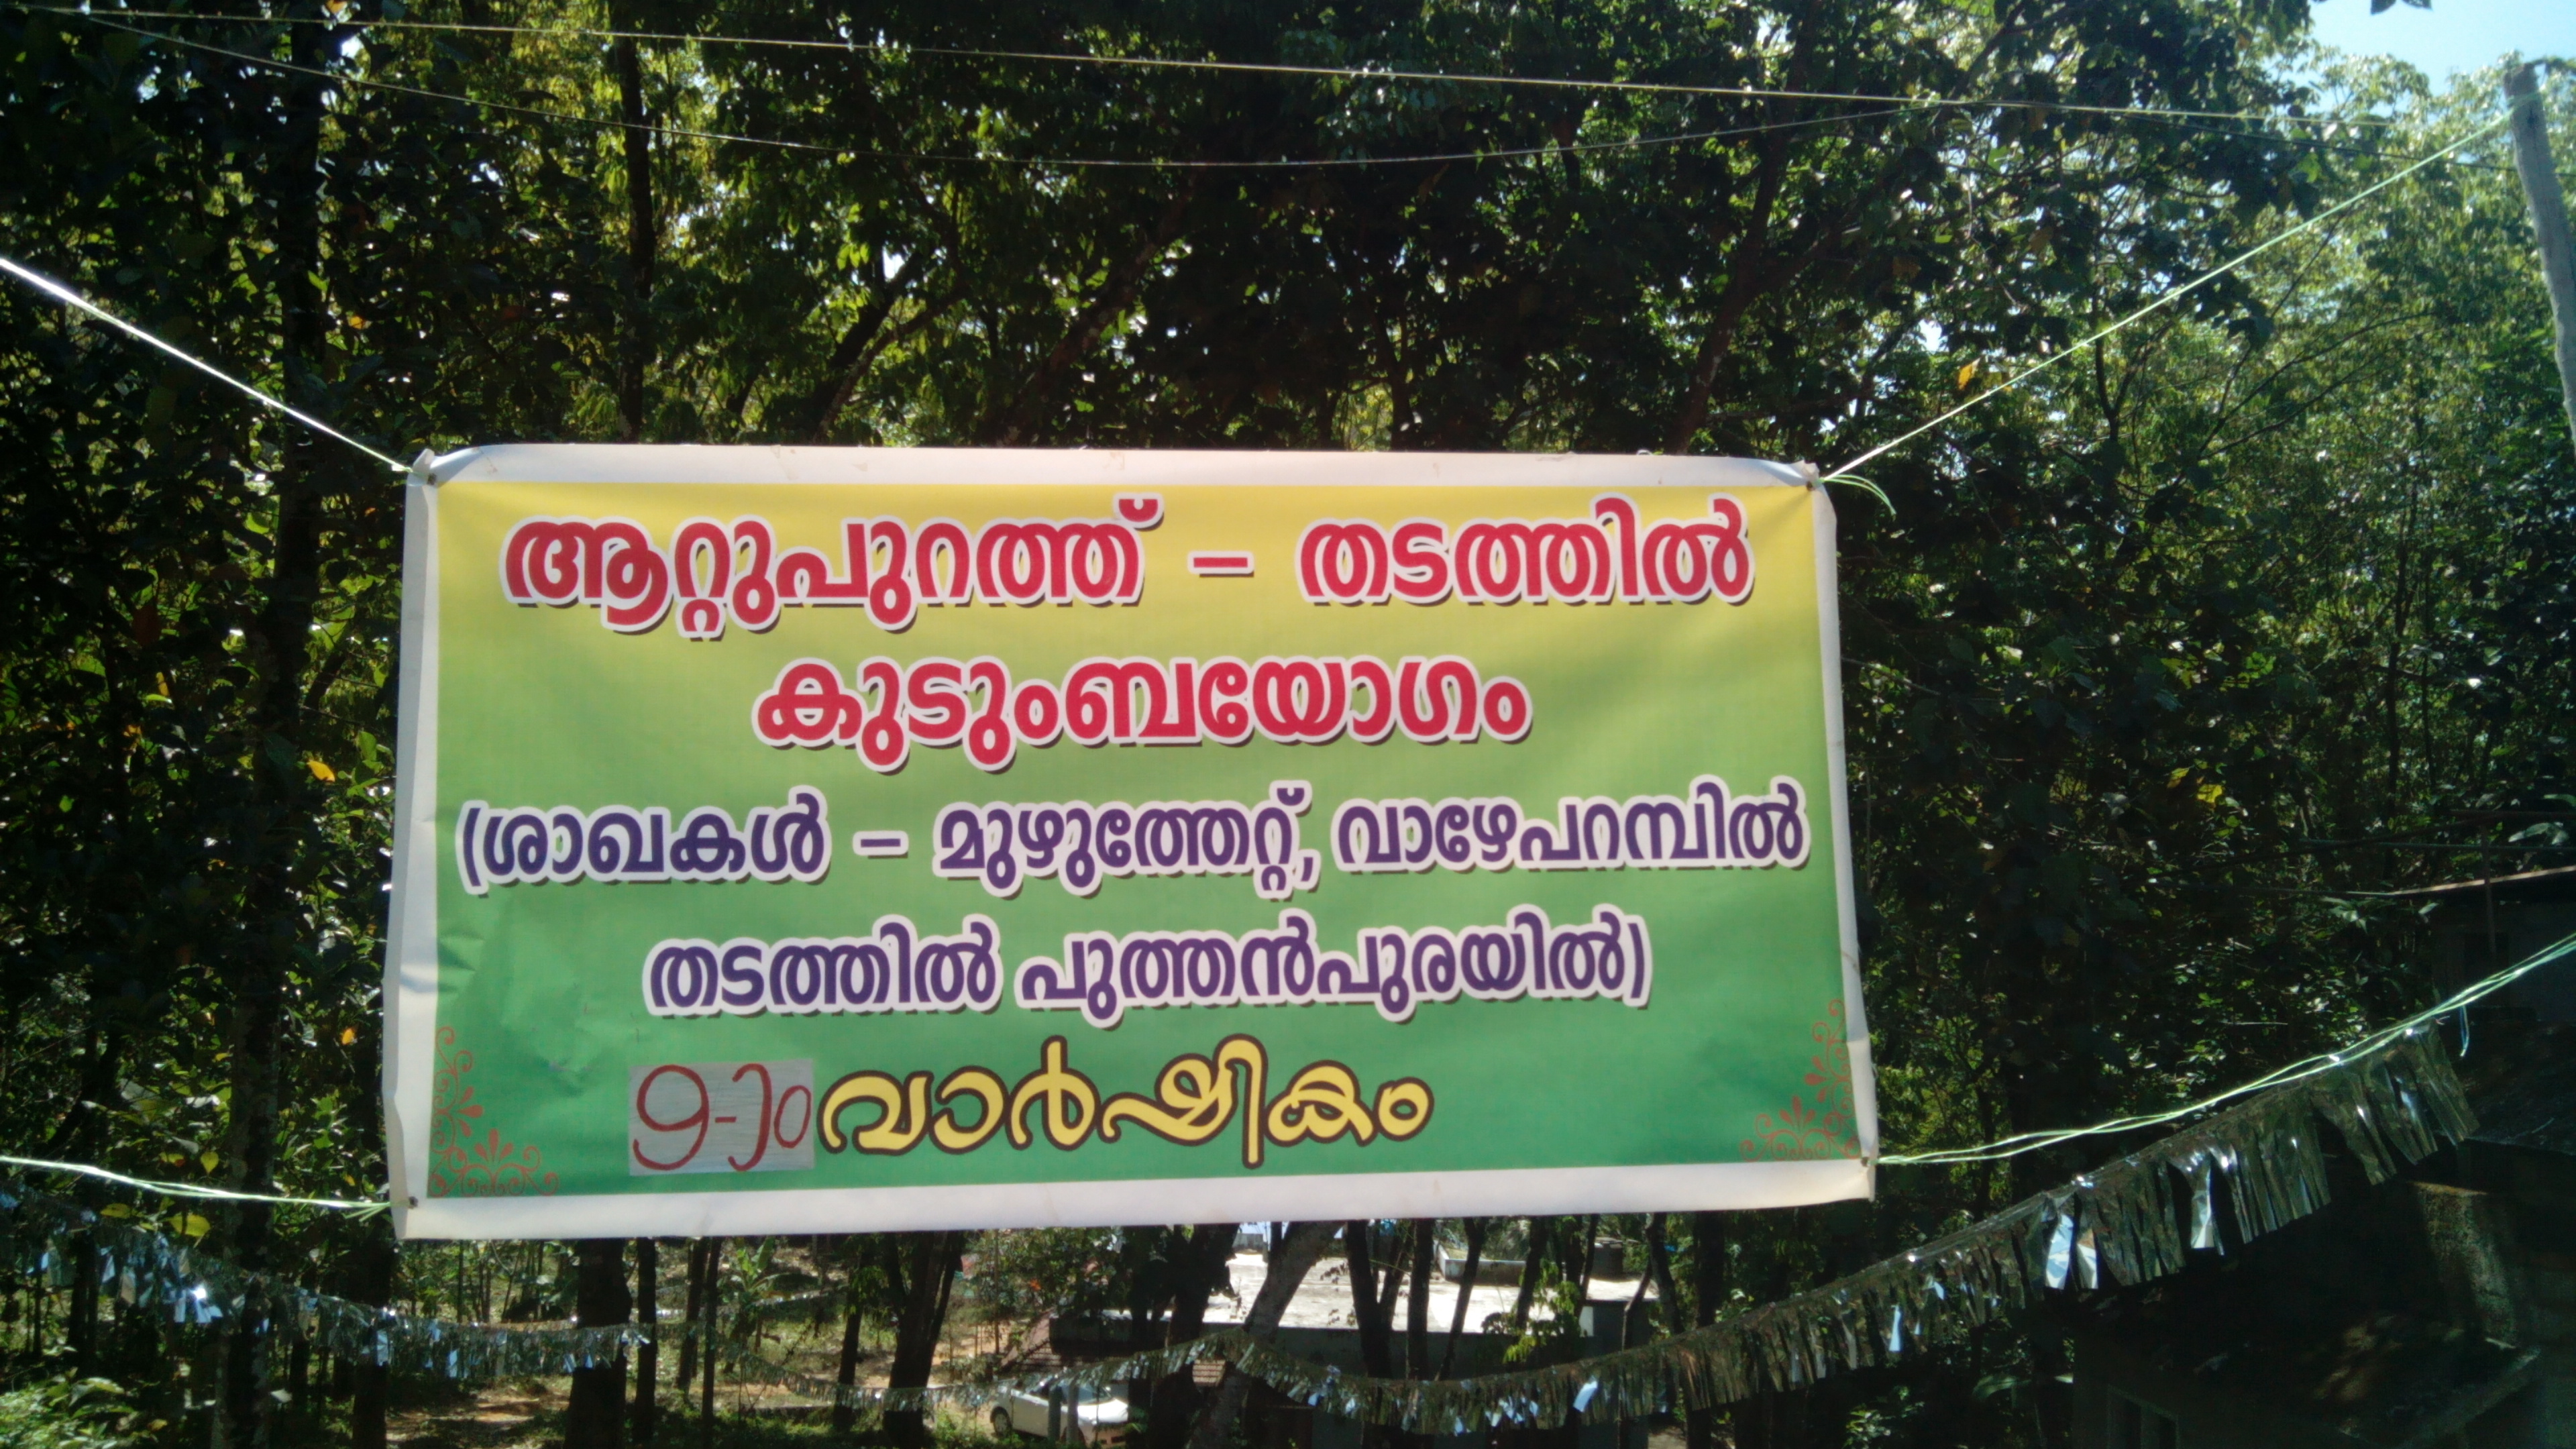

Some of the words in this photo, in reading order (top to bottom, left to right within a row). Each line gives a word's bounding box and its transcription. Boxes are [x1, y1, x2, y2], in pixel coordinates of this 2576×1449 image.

[498, 494, 1166, 647] ആറ്റുപുറത്ത്
[1287, 487, 1766, 614] തടത്തിൽ
[751, 652, 1540, 783] കുടുംബയോഗം
[454, 784, 841, 898] ശ്രാഖകൾ
[927, 776, 1327, 906] മുഴുത്തേറ്റ്
[1333, 767, 1816, 877] വാഴേപറമ്പിൽ
[640, 903, 1011, 1018] തടത്തിൽ
[1009, 899, 1653, 1034] പുത്തൻപുരയിൽ
[627, 1028, 1441, 1175] ൭-ാ൦ വാർഷികം